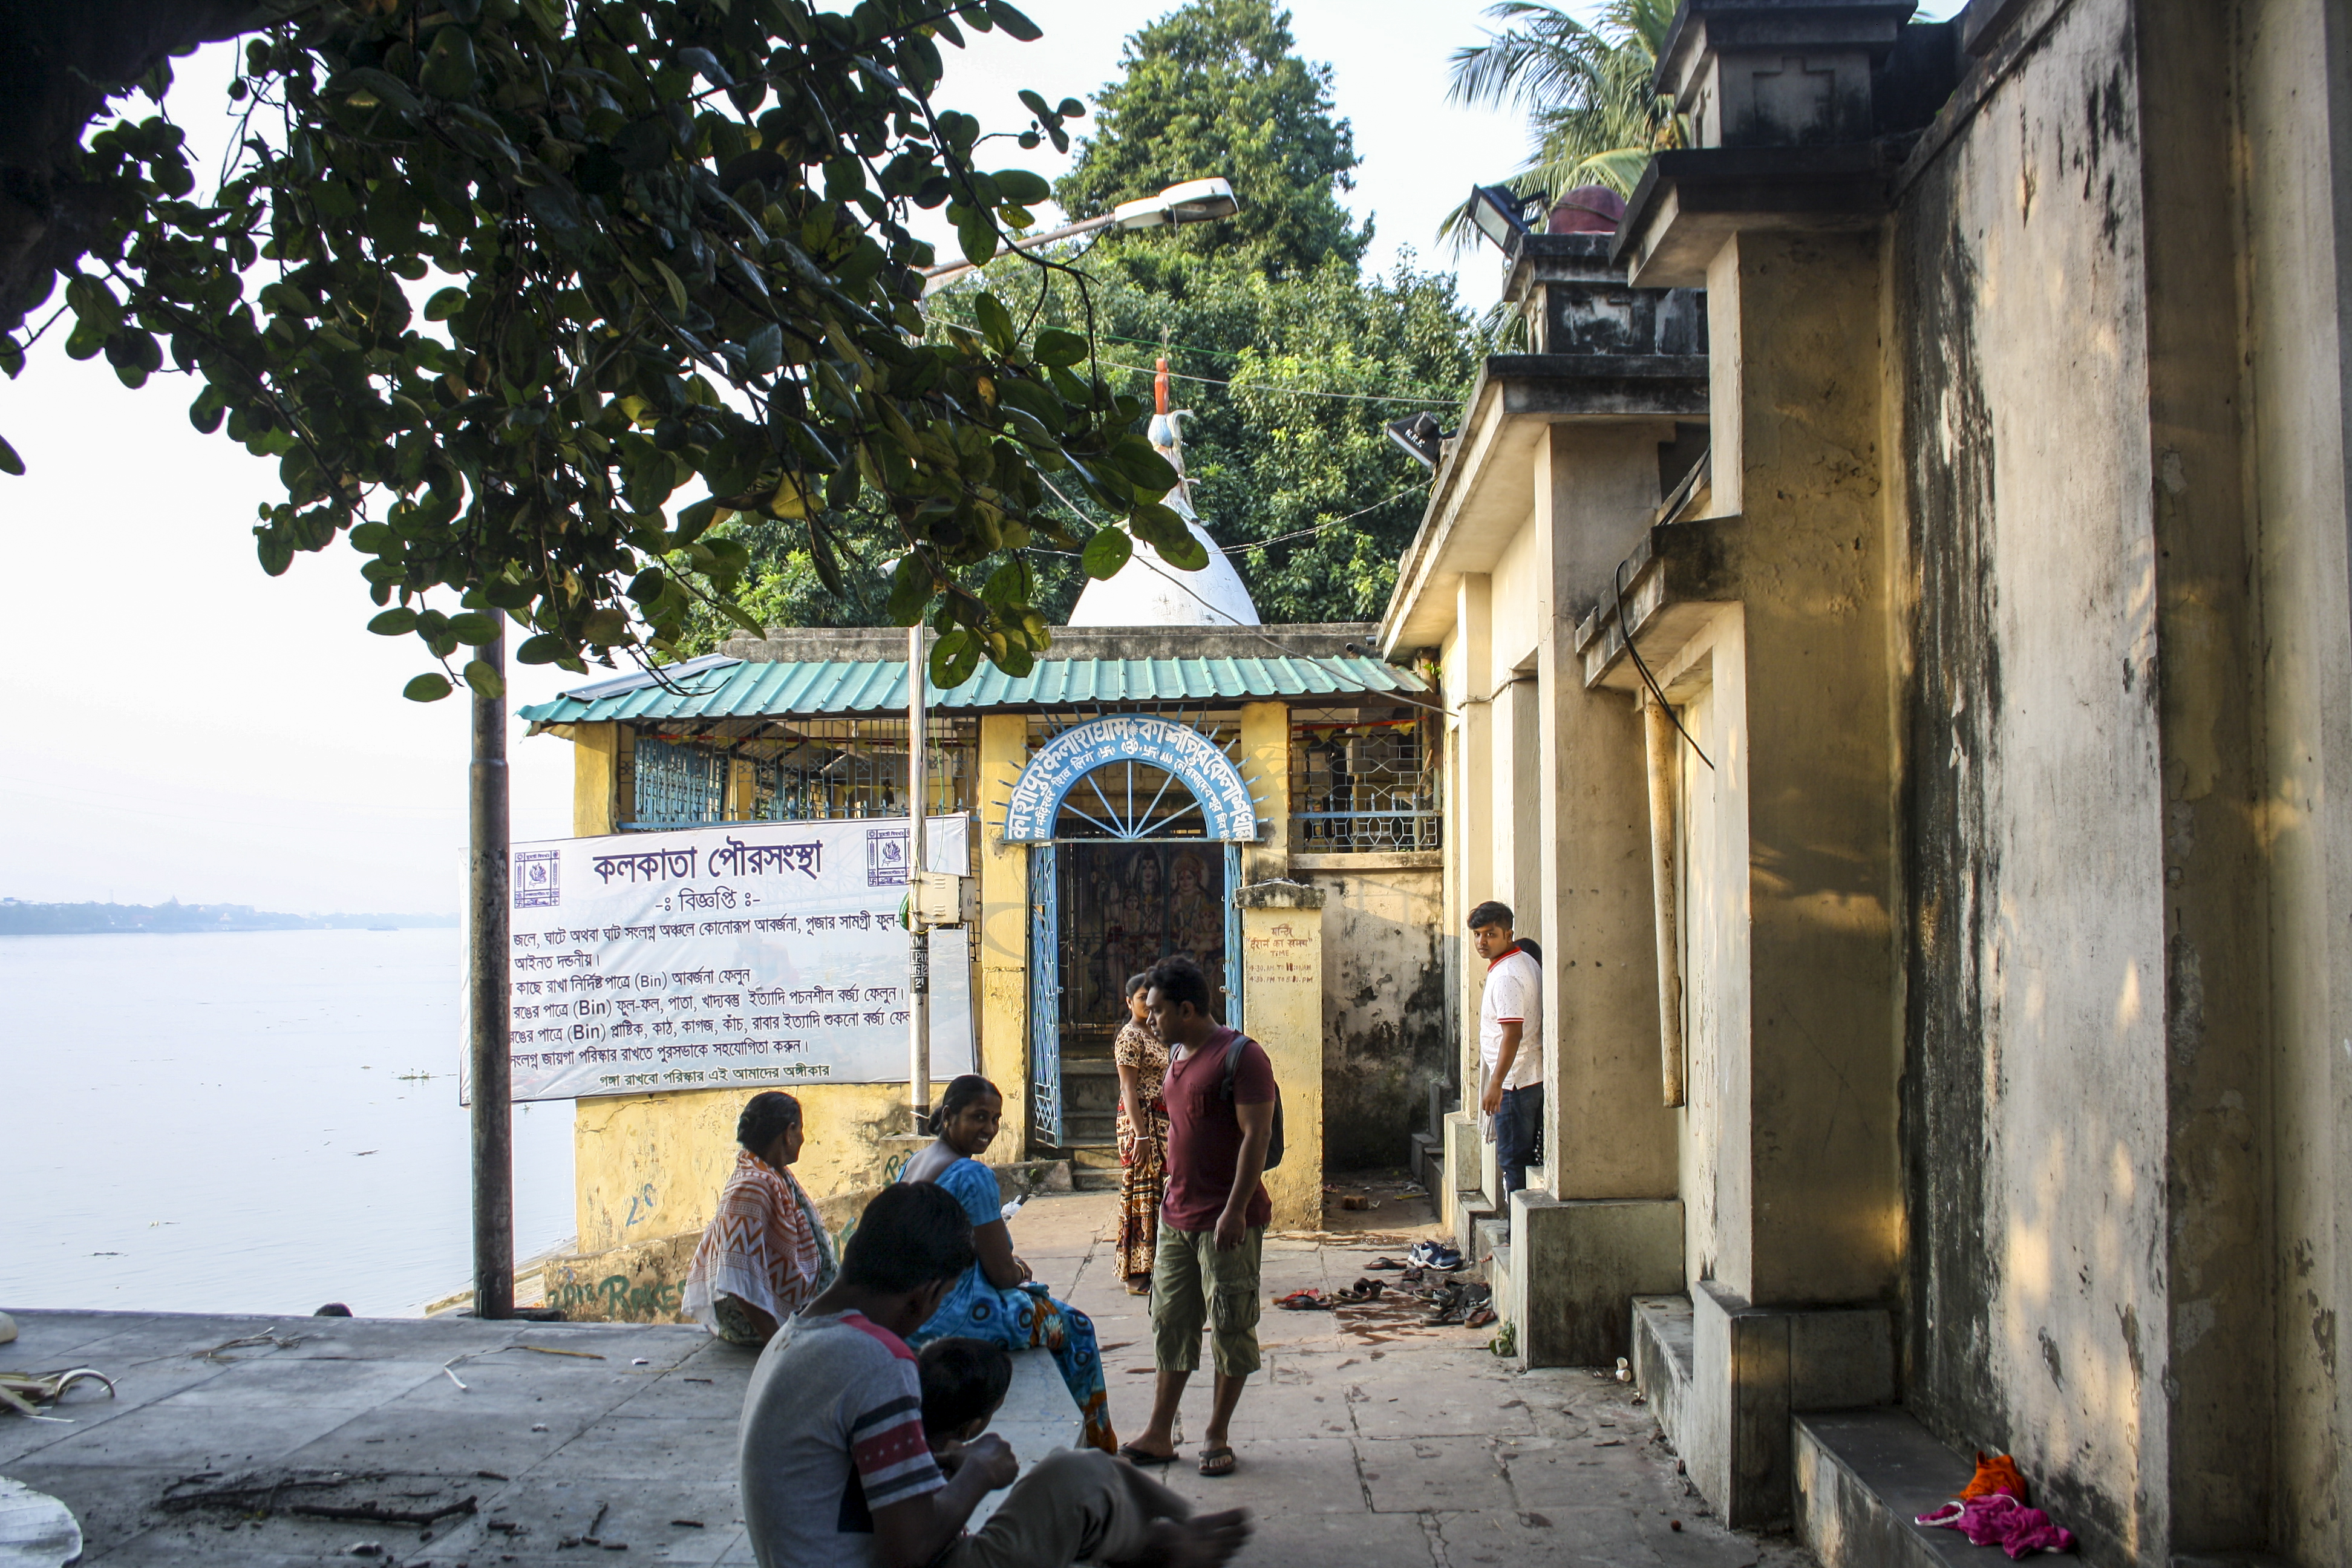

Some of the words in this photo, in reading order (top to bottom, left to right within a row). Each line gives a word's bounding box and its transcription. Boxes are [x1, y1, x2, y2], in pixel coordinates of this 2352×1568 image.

[1086, 714, 1132, 743] धाम
[1031, 720, 1100, 777] कैलाश
[1134, 714, 1217, 774] কাশিপুর
[1067, 748, 1099, 779] लिंग
[1047, 763, 1077, 792] शिव
[1171, 755, 1227, 815] নেরমাদেবশ্বর
[1198, 746, 1254, 818] কৈলাশ
[1005, 756, 1056, 846] काशीपुर
[1033, 785, 1059, 832] नर्मदेश्वर
[1212, 811, 1233, 844] শিব লি
[1230, 811, 1255, 845] ধাম
[592, 845, 699, 889] কলকাতা
[704, 829, 826, 884] পৌরসংস্থা
[676, 879, 741, 915] বিজ্ঞপ্তি
[509, 930, 540, 950] জলে,
[512, 946, 555, 973] আইনত
[540, 921, 571, 947] ঘাটে
[554, 944, 595, 970] দন্ডনীয়
[567, 925, 601, 947] অথবা
[601, 918, 624, 946] ঘাট
[624, 920, 659, 946] সংলগ্ন
[657, 919, 696, 941] অঞ্চলে
[696, 916, 754, 939] কোনোরূপ
[752, 912, 802, 936] আবর্জনা,
[803, 909, 838, 938] পূজার
[835, 907, 875, 933] সামগ্রী
[870, 910, 901, 935] ফুল-
[1245, 933, 1272, 954] र्दशन
[1267, 938, 1284, 952] का
[1269, 918, 1297, 940] मन्दिर
[1283, 937, 1310, 949] समय
[504, 1027, 535, 1049] রঙের
[504, 1050, 541, 1070] সংলগ্ন
[510, 1002, 543, 1021] রঙের
[513, 975, 546, 999] কাছে
[535, 1023, 567, 1046] পাত্রে
[540, 973, 570, 998] রাখা
[541, 1001, 573, 1018] পাত্রে
[538, 1047, 577, 1070] জায়গা
[569, 1017, 603, 1041] Bin
[575, 996, 613, 1017] Bin
[561, 971, 633, 995] নির্দিষ্ট পাত্রে
[575, 1040, 620, 1068] পরিস্কার
[598, 1068, 622, 1091] গঙ্গা
[609, 1016, 648, 1042] প্লাষ্টিক,
[615, 1044, 656, 1065] রাখতে
[613, 993, 662, 1023] ফুল-ফল,
[620, 1065, 661, 1088] রাখবো
[635, 970, 668, 991] Bin
[648, 1014, 678, 1040] কাঠ,
[665, 992, 696, 1012] পাতা,
[656, 1041, 711, 1067] পুরসভাকে
[661, 1064, 707, 1086] পরিস্কার
[670, 963, 718, 993] আবর্জনা
[679, 1011, 719, 1036] কাগজ,
[704, 1063, 731, 1083] এই
[701, 990, 743, 1011] খাদ্যবস্তু
[719, 1009, 750, 1035] কাঁচ,
[716, 960, 754, 989] ফেলুন
[711, 1031, 771, 1062] সহযোগিতা
[728, 1063, 783, 1083] আমাদের
[742, 983, 788, 1011] ইত্যাদি
[750, 1013, 782, 1034] রাবার
[771, 1035, 806, 1058] করুন
[776, 1005, 824, 1030] ইত্যাদি
[780, 1057, 834, 1080] অঙ্গীকার
[785, 981, 838, 1004] পচনশীল
[821, 1010, 861, 1029] শুকনো
[832, 979, 865, 1006] বর্জ্য
[861, 1005, 889, 1030] বর্জ্য
[859, 979, 900, 1008] ফেলুন